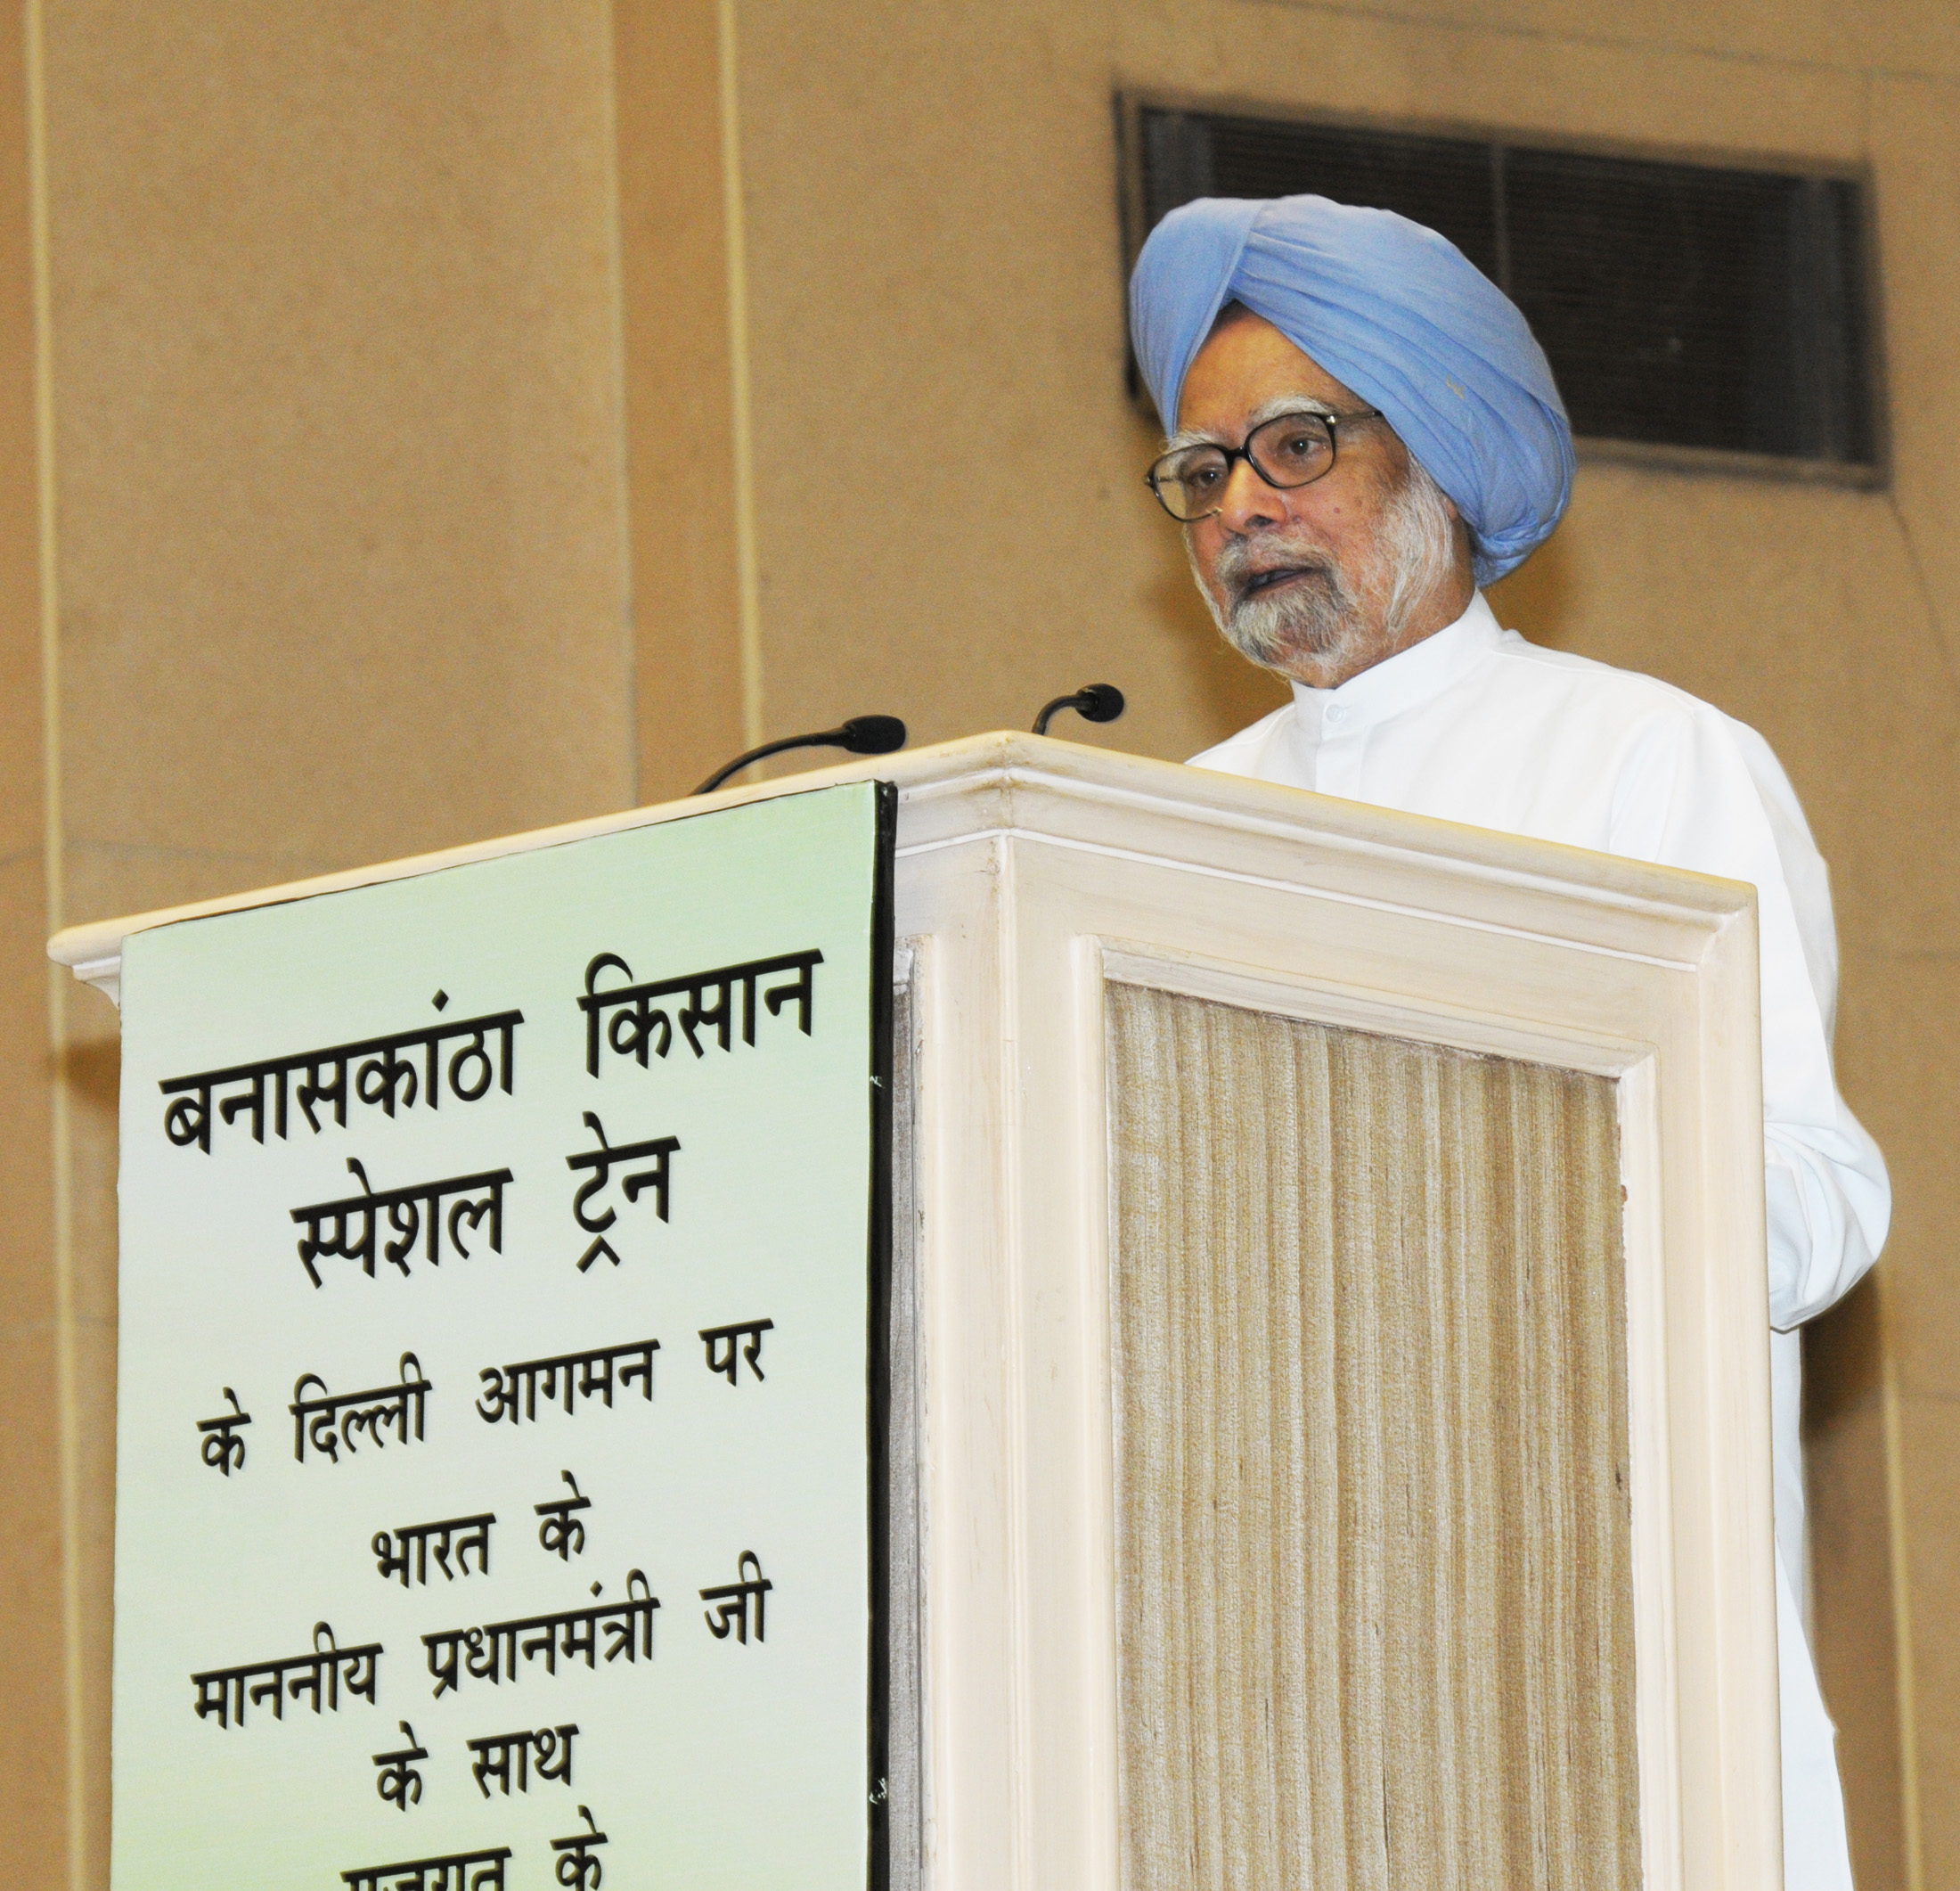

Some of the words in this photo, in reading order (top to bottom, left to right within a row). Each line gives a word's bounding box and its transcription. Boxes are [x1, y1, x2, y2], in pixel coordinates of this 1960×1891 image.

[571, 945, 829, 1085] किसान
[159, 981, 526, 1165] बनासकांठा
[285, 1150, 515, 1289] स्पेशल
[560, 1107, 683, 1273] ट्रेन
[189, 1385, 257, 1485] के
[281, 1346, 433, 1470] दिल्ली
[470, 1333, 668, 1434] आगमन
[693, 1314, 780, 1393] पर
[192, 1617, 383, 1732] माननीय
[360, 1503, 498, 1600] भारत
[420, 1562, 663, 1703] प्रधानमंत्री
[532, 1461, 592, 1565] क‍े
[698, 1542, 776, 1653] ज़ी
[364, 1715, 431, 1818] क‍े
[461, 1720, 586, 1805] साथ
[538, 1806, 620, 1891] के